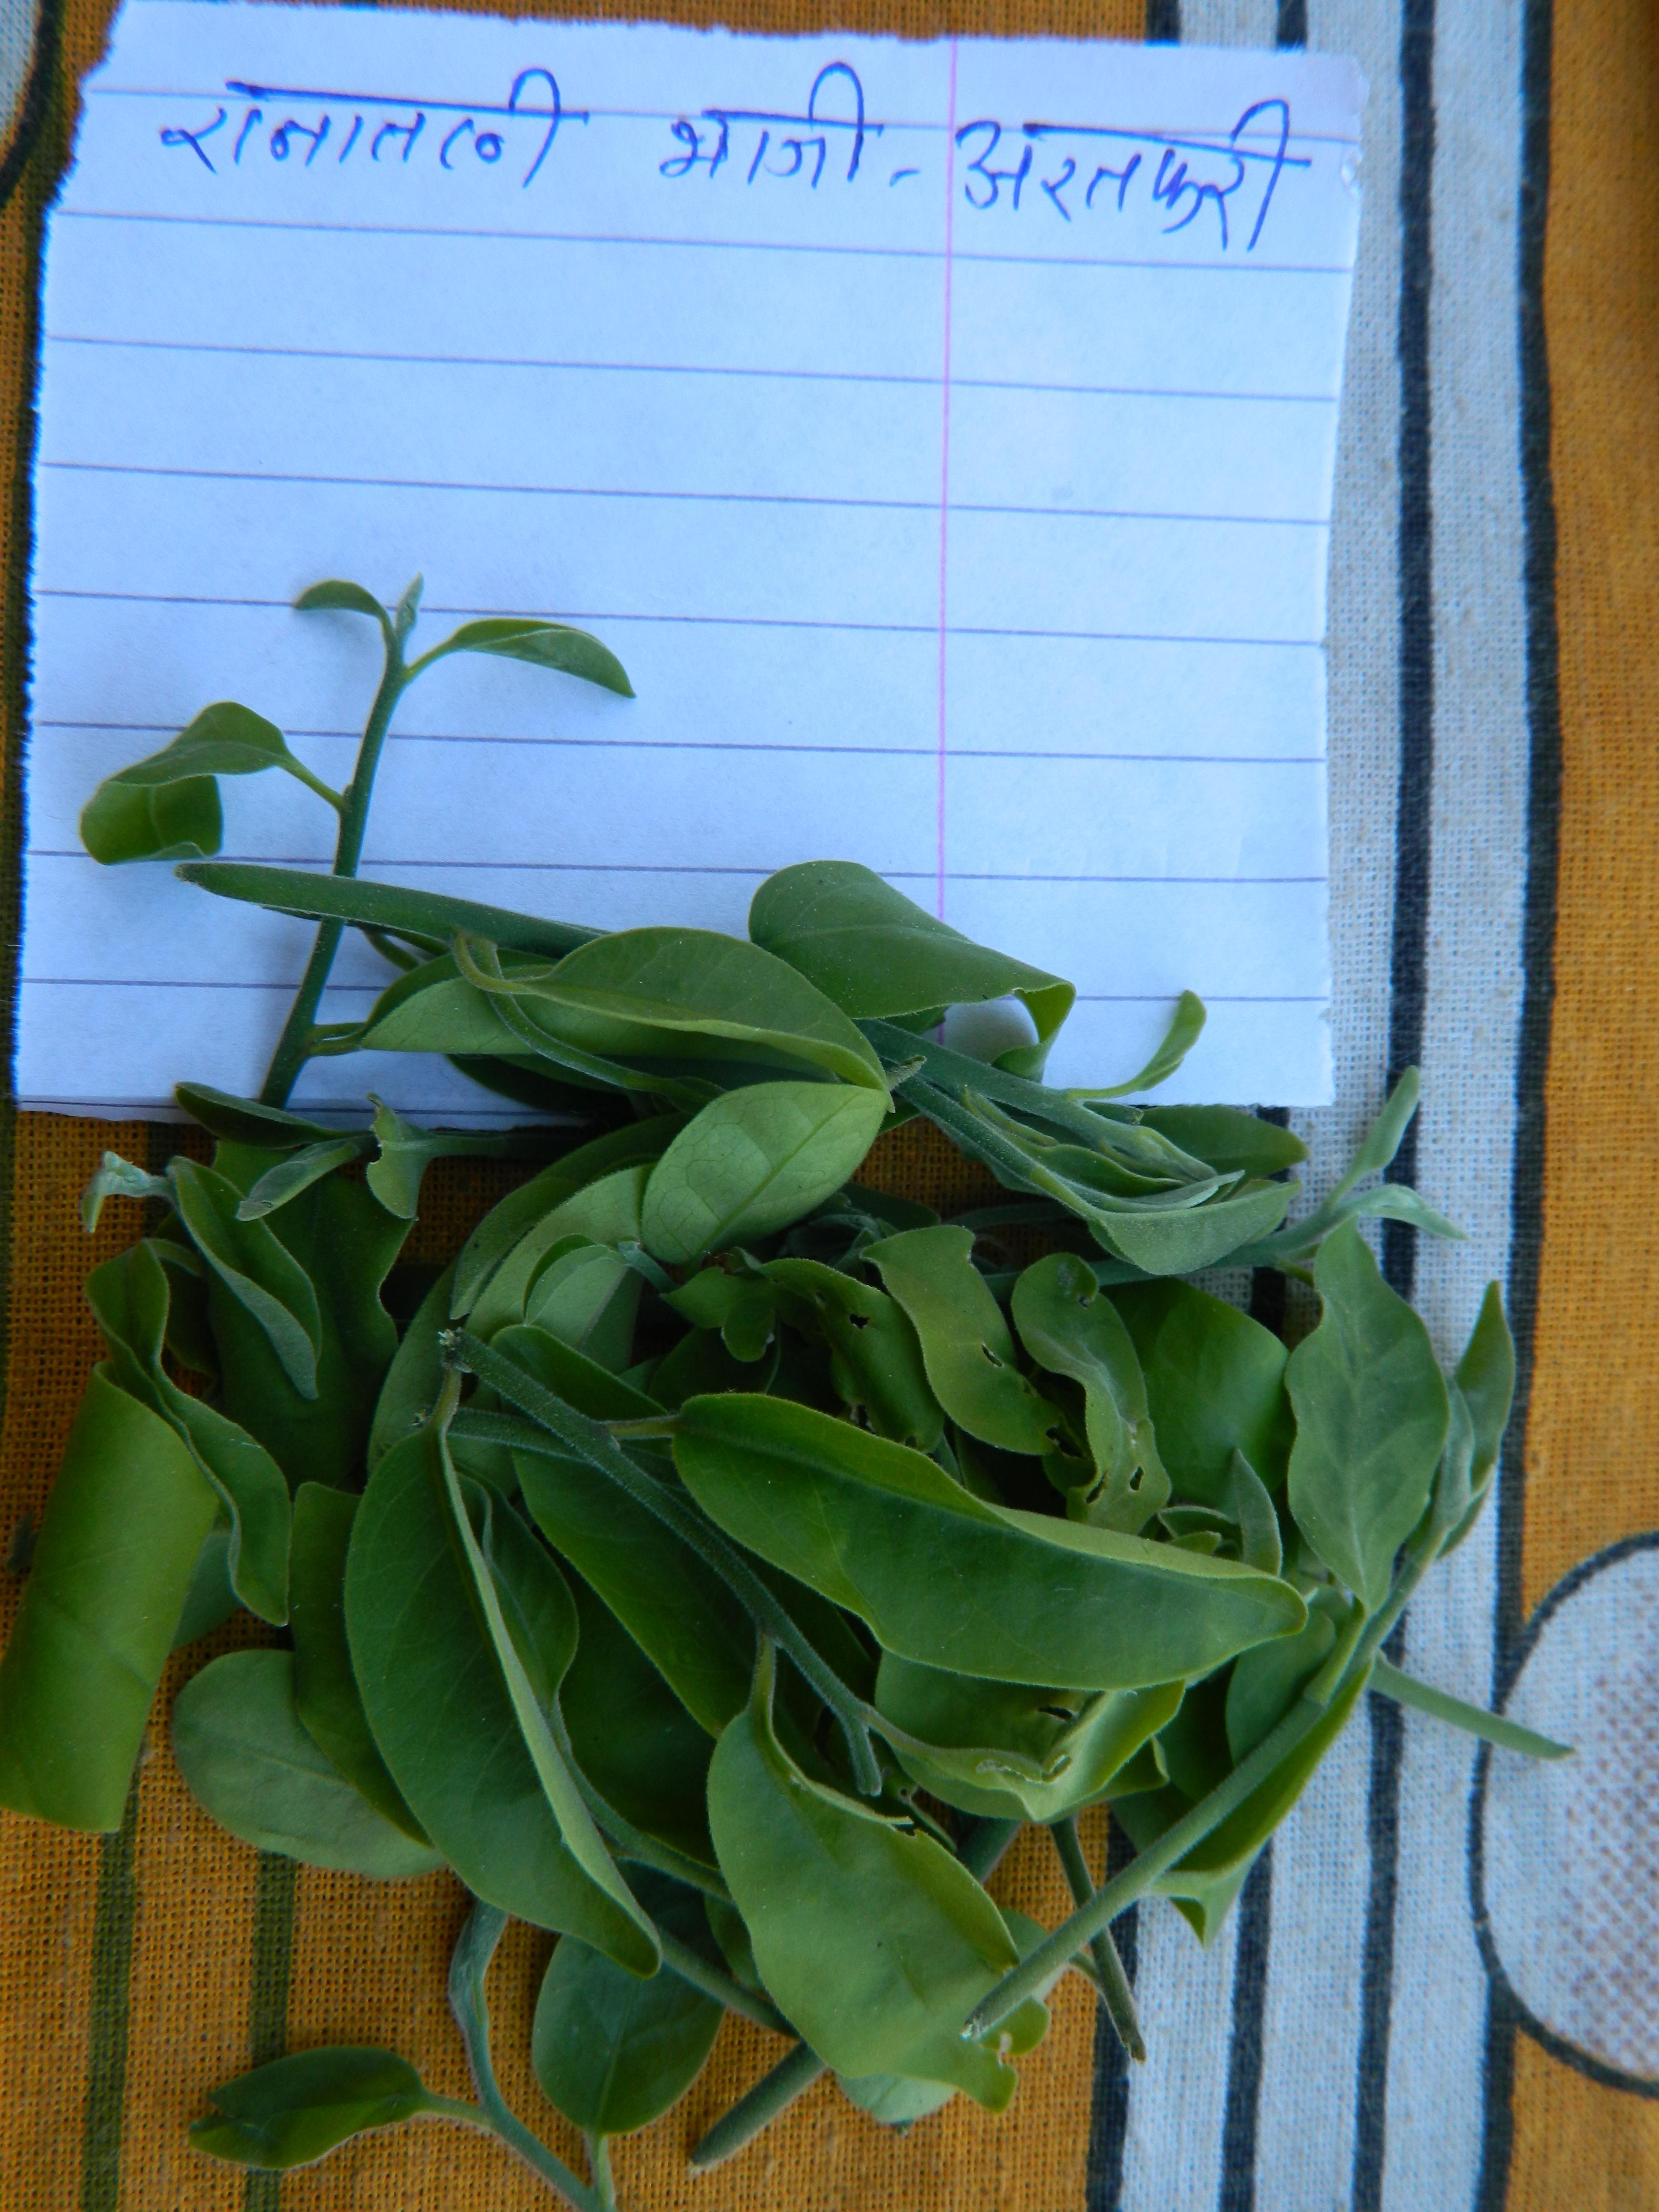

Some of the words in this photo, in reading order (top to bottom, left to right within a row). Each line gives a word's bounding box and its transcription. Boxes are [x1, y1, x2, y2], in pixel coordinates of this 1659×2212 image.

[132, 57, 603, 200] रामातली
[639, 51, 901, 205] भाजी
[942, 82, 1326, 272] अरतफरी